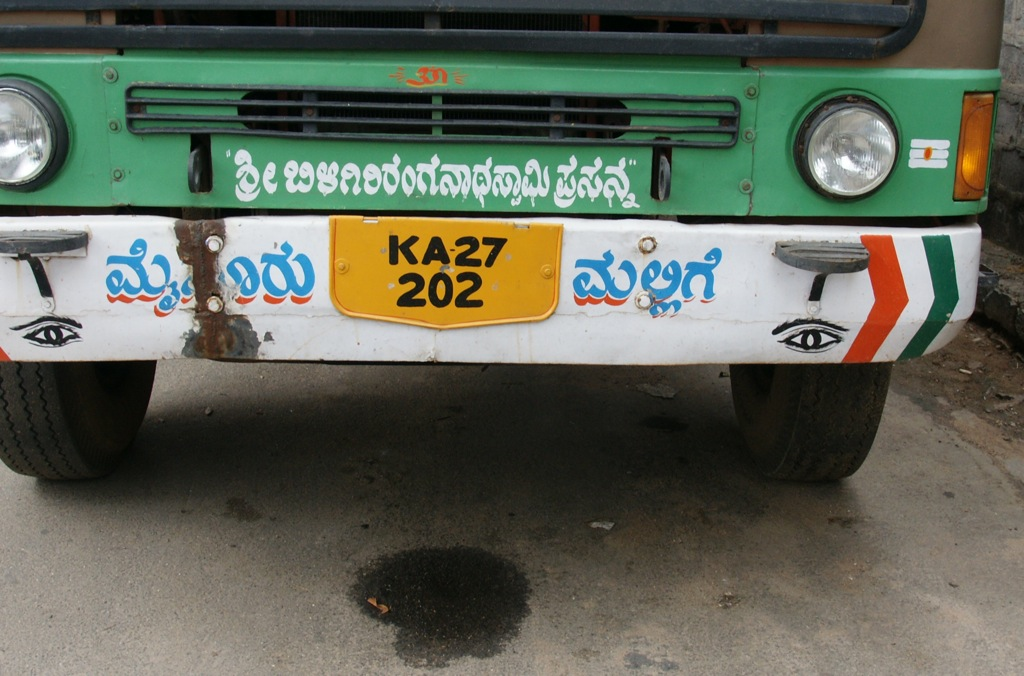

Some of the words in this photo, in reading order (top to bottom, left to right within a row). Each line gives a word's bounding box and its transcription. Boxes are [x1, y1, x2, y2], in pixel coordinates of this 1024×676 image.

[218, 139, 281, 207] ಶ್ರೀ
[280, 148, 555, 212] ಬಿಳಿಗಿರಿರಂಗನಾಥಸ್ವಾಮಿ
[548, 146, 643, 213] ಪ್ರಸನ್ನ
[394, 272, 489, 312] 202
[382, 231, 509, 276] KA27
[568, 240, 725, 321] ಮಲ್ಲಗೆ